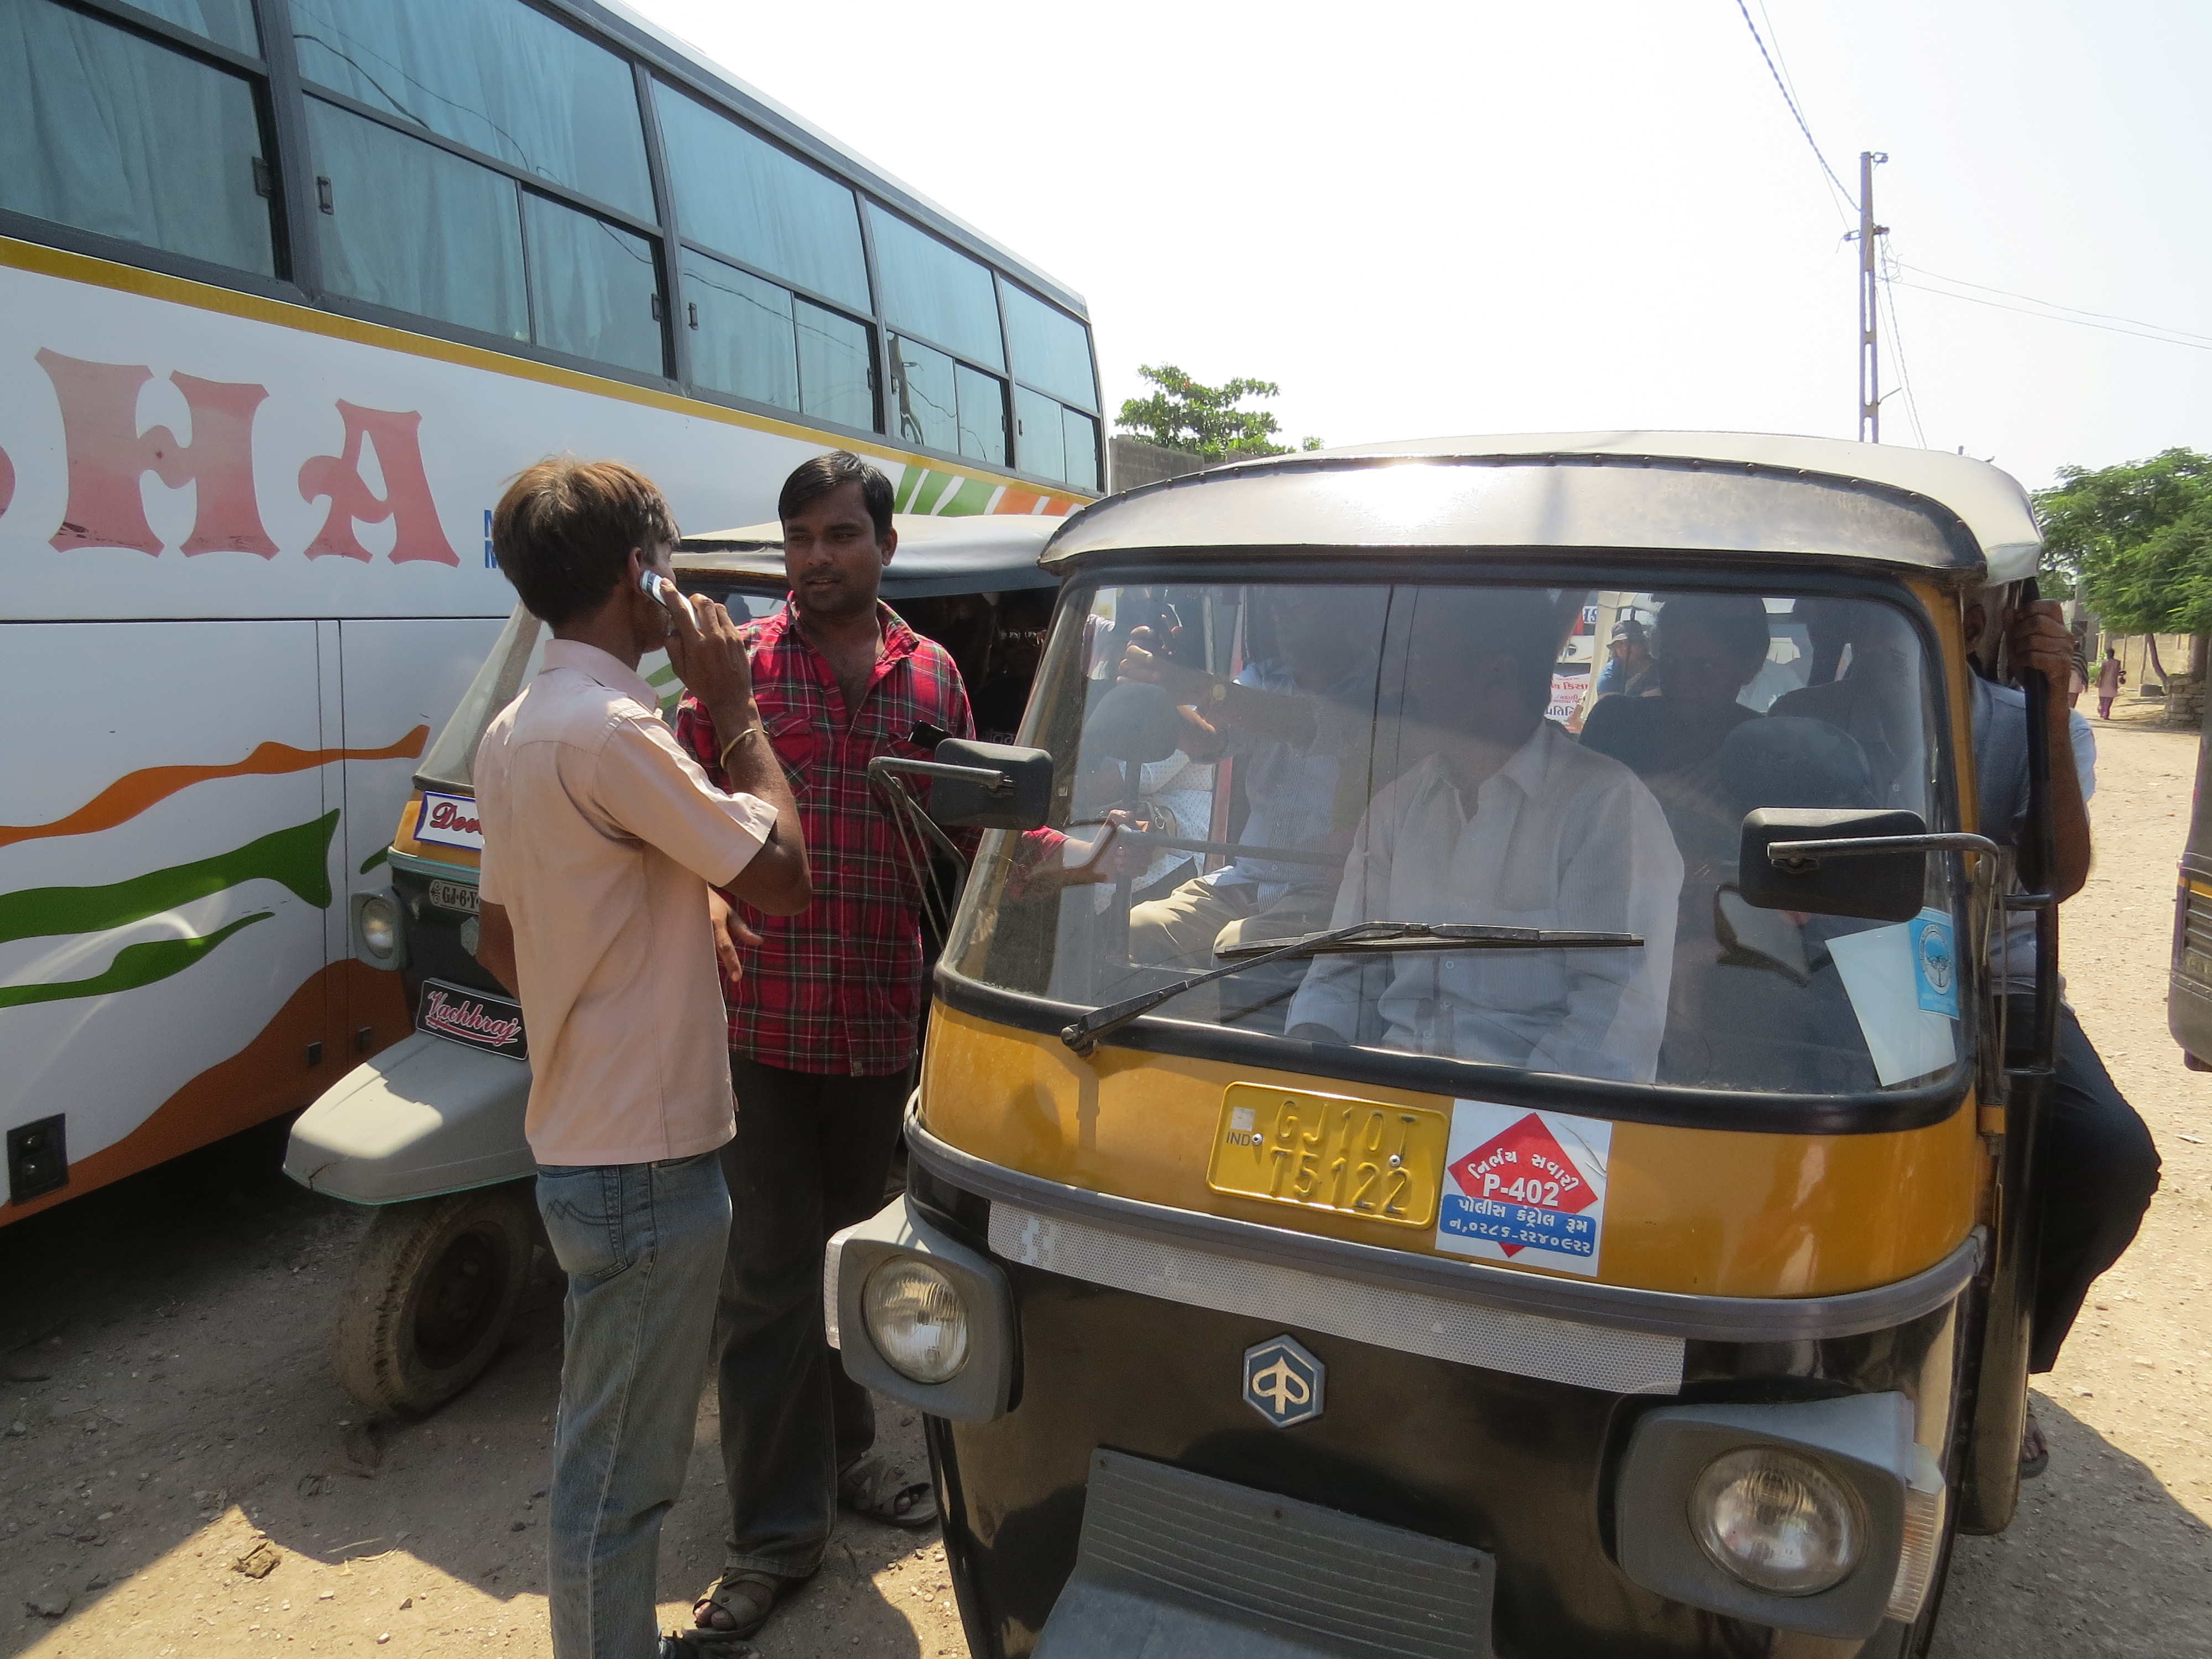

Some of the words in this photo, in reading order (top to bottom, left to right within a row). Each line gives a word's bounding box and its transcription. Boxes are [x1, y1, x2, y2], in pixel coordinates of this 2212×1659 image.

[20, 337, 476, 580] HA
[420, 983, 529, 1052] Vachhraj
[1217, 1129, 1251, 1151] IND
[1267, 1093, 1425, 1163] GJ107
[1260, 1140, 1416, 1224] T5122
[1446, 1213, 1464, 1232] ન
[1454, 1194, 1507, 1218] પોલીસ
[1461, 1146, 1523, 1182] નિર્ભય
[1480, 1170, 1568, 1208] P-402
[1466, 1218, 1592, 1255] ૦૨૮૬ઃરર૪૦૯૨૨
[1512, 1203, 1558, 1230] કંટ્રોલ
[1525, 1150, 1585, 1193] सवारी
[1558, 1212, 1588, 1234] ३મ